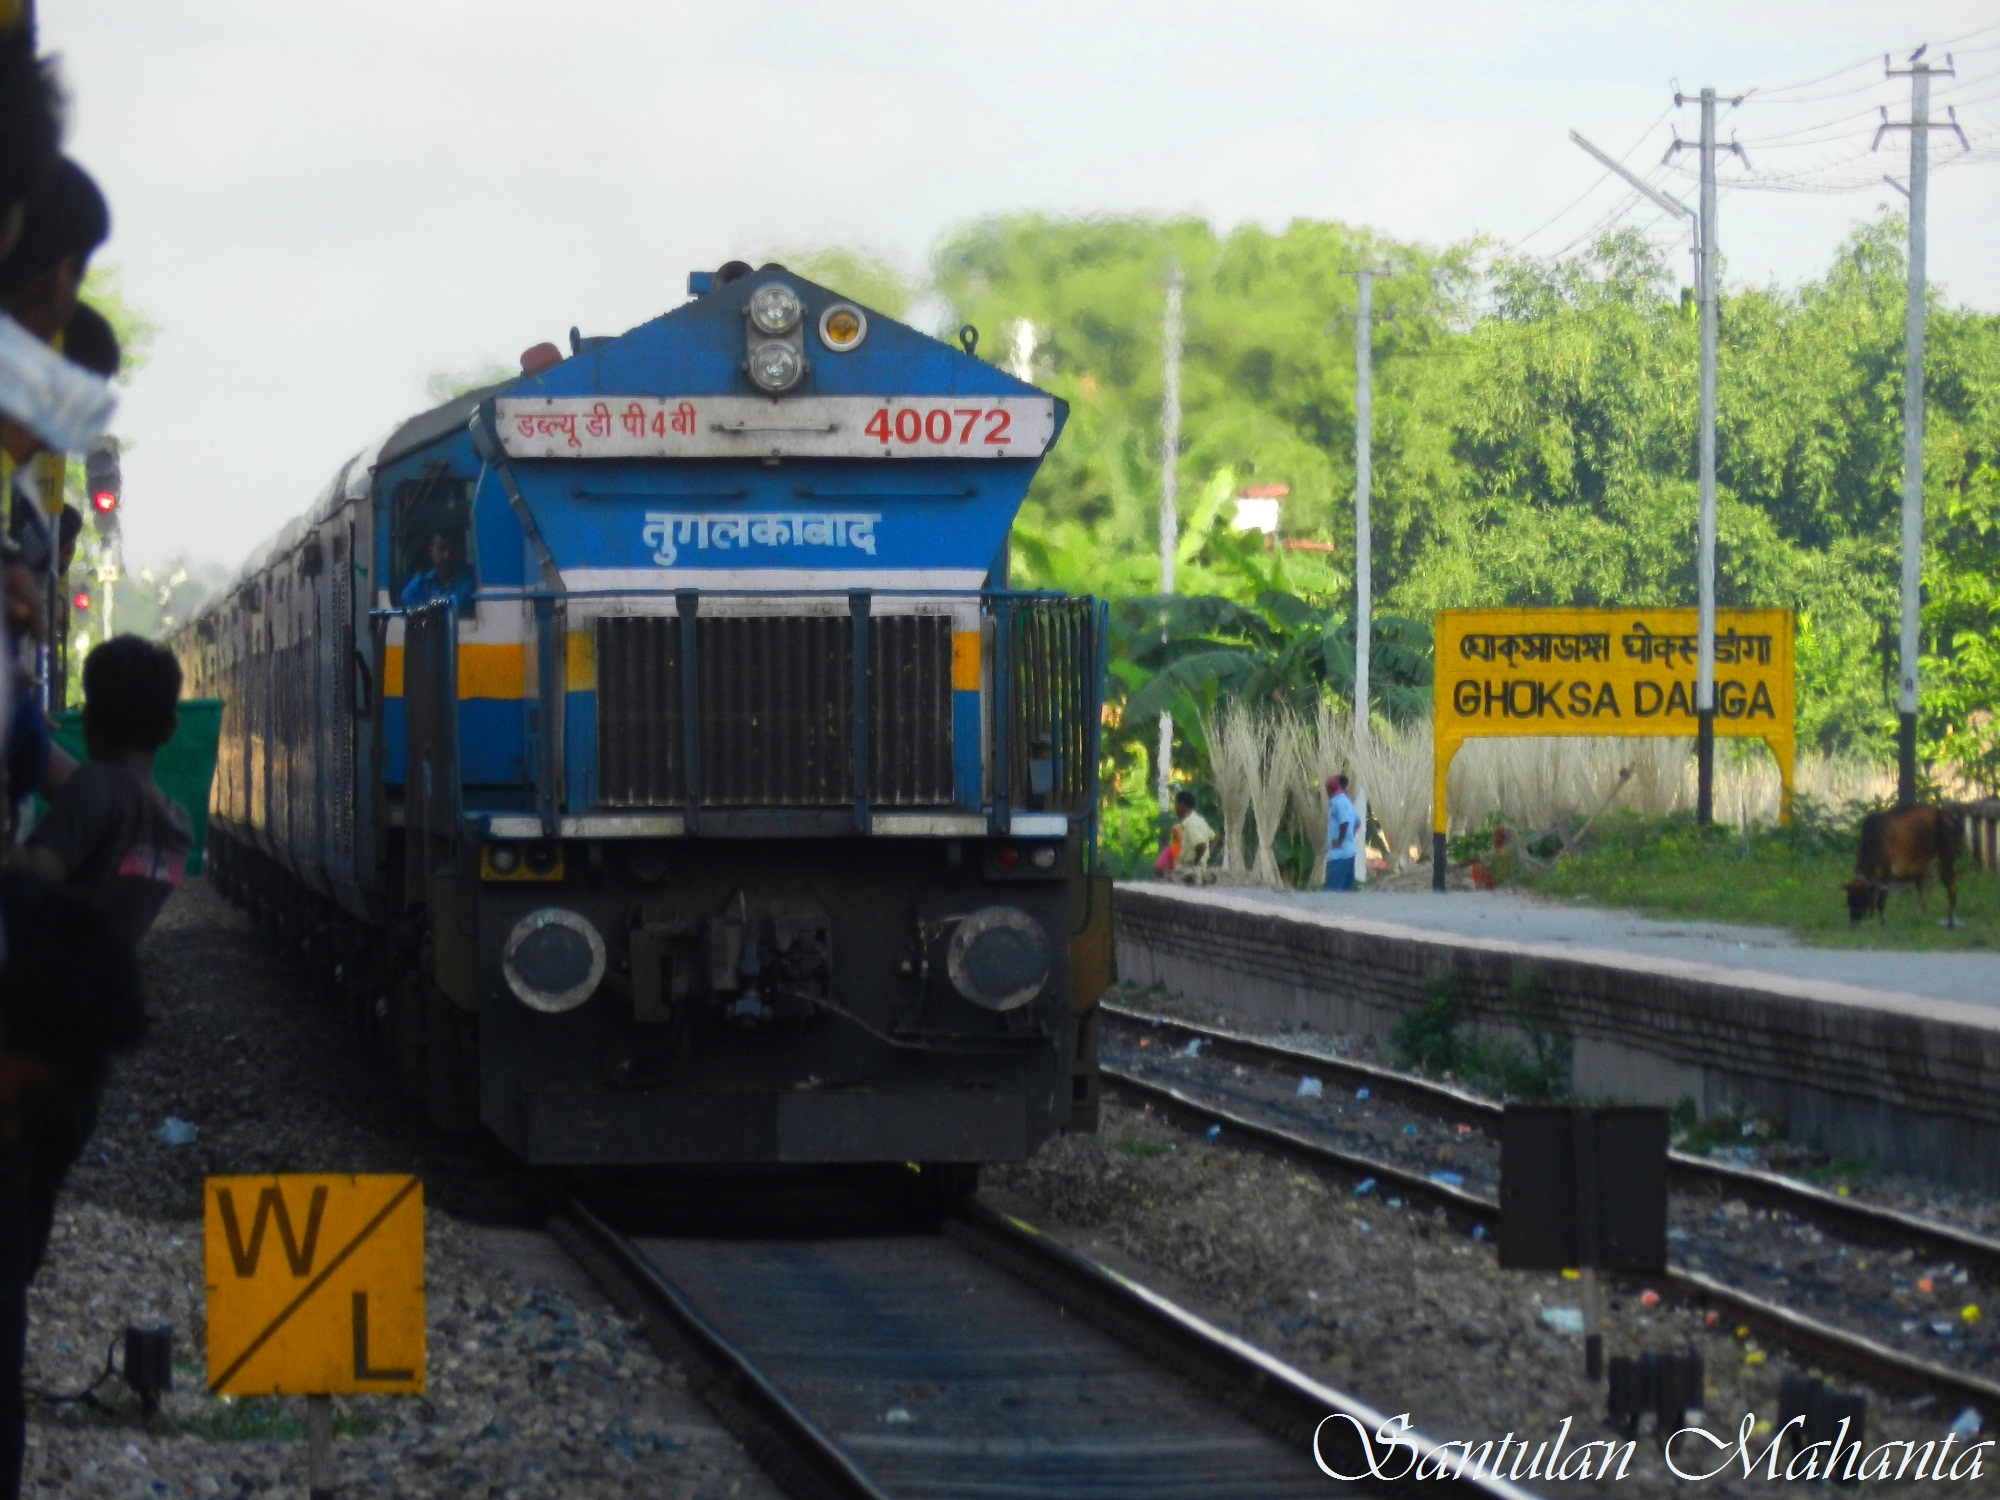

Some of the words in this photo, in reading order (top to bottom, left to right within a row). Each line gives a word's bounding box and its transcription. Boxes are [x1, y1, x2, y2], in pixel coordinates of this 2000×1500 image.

[511, 411, 584, 450] डब्ल्यू
[580, 395, 617, 439] डी
[615, 399, 698, 442] पी4बी
[862, 405, 1014, 449] 40072
[631, 506, 885, 568] तुगलकाबाद
[1455, 629, 1613, 671] ঘোকসাডাঙ্গা
[1617, 613, 1775, 675] घोक्सडांगा
[1448, 675, 1628, 723] GHOKSA
[1633, 675, 1779, 723] DALIGA
[1287, 1394, 1642, 1493] Santulan
[1665, 1404, 1992, 1488] Mahanta